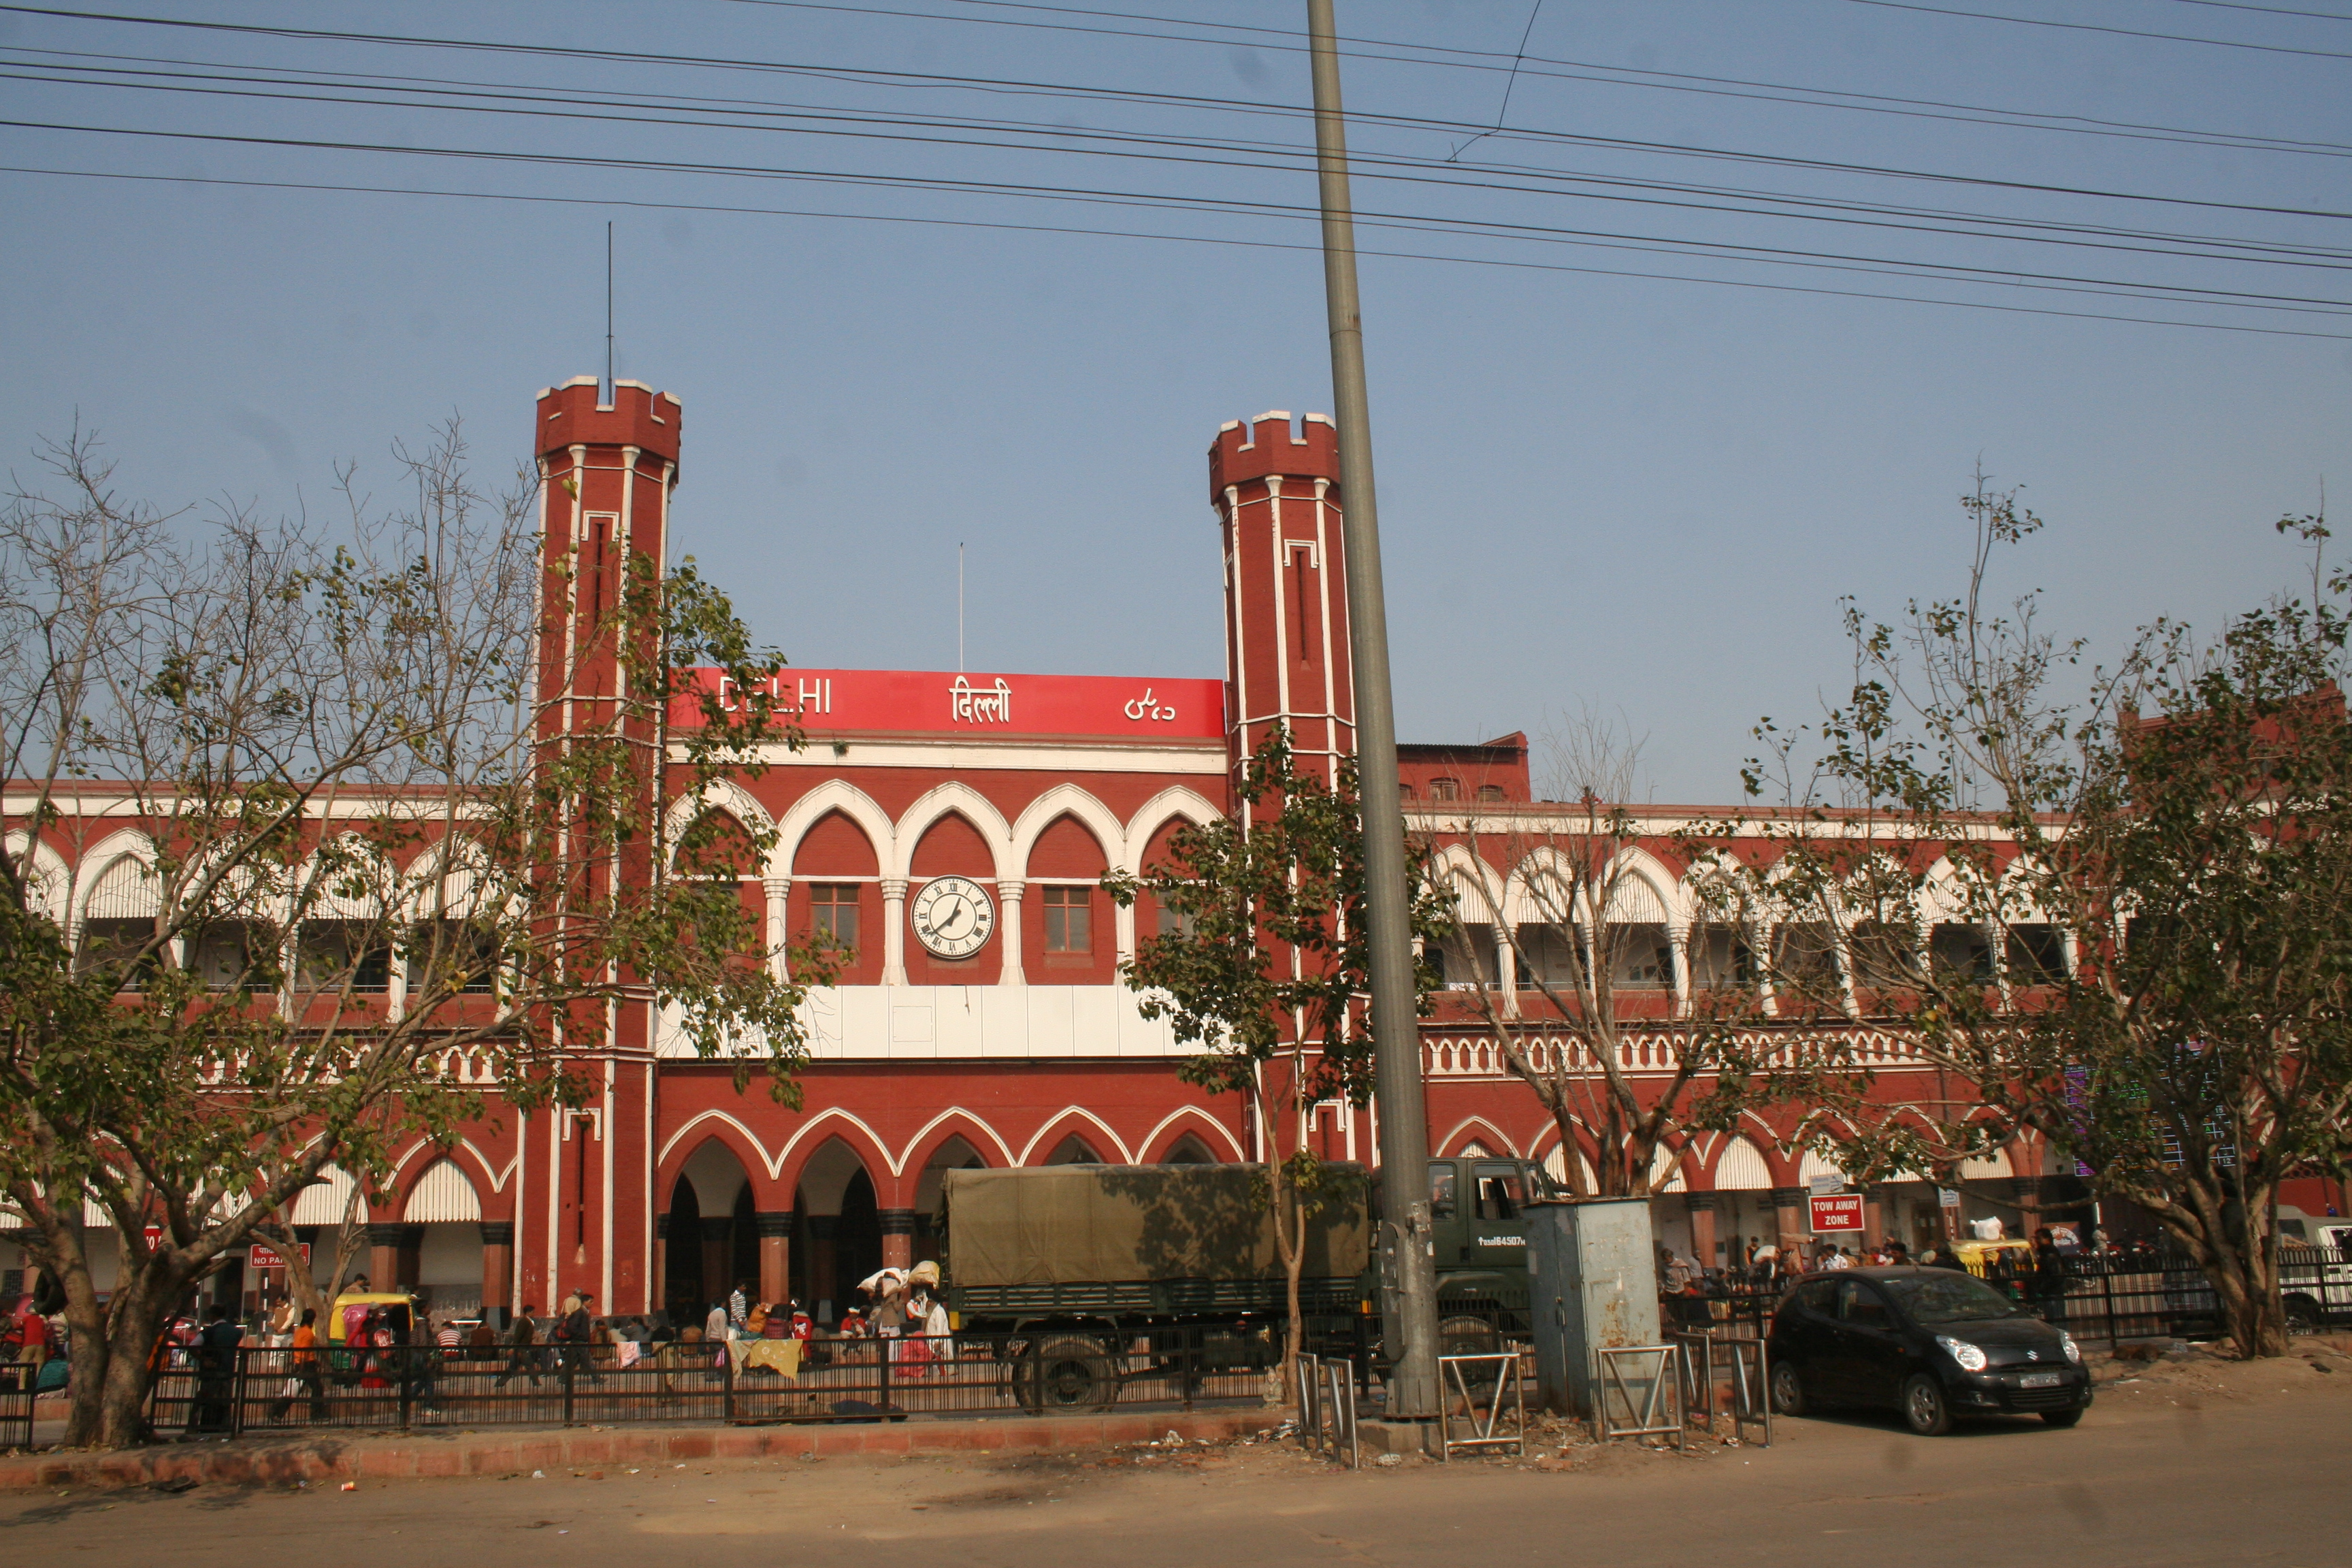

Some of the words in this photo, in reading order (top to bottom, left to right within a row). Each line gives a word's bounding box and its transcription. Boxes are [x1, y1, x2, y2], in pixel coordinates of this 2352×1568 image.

[717, 674, 832, 717] HI
[948, 672, 1013, 724] दिल्ली
[1122, 685, 1177, 723] دہلی
[1812, 1200, 1835, 1213] TOW
[1823, 1213, 1850, 1227] ZONE
[1833, 1198, 1860, 1212] AWAY